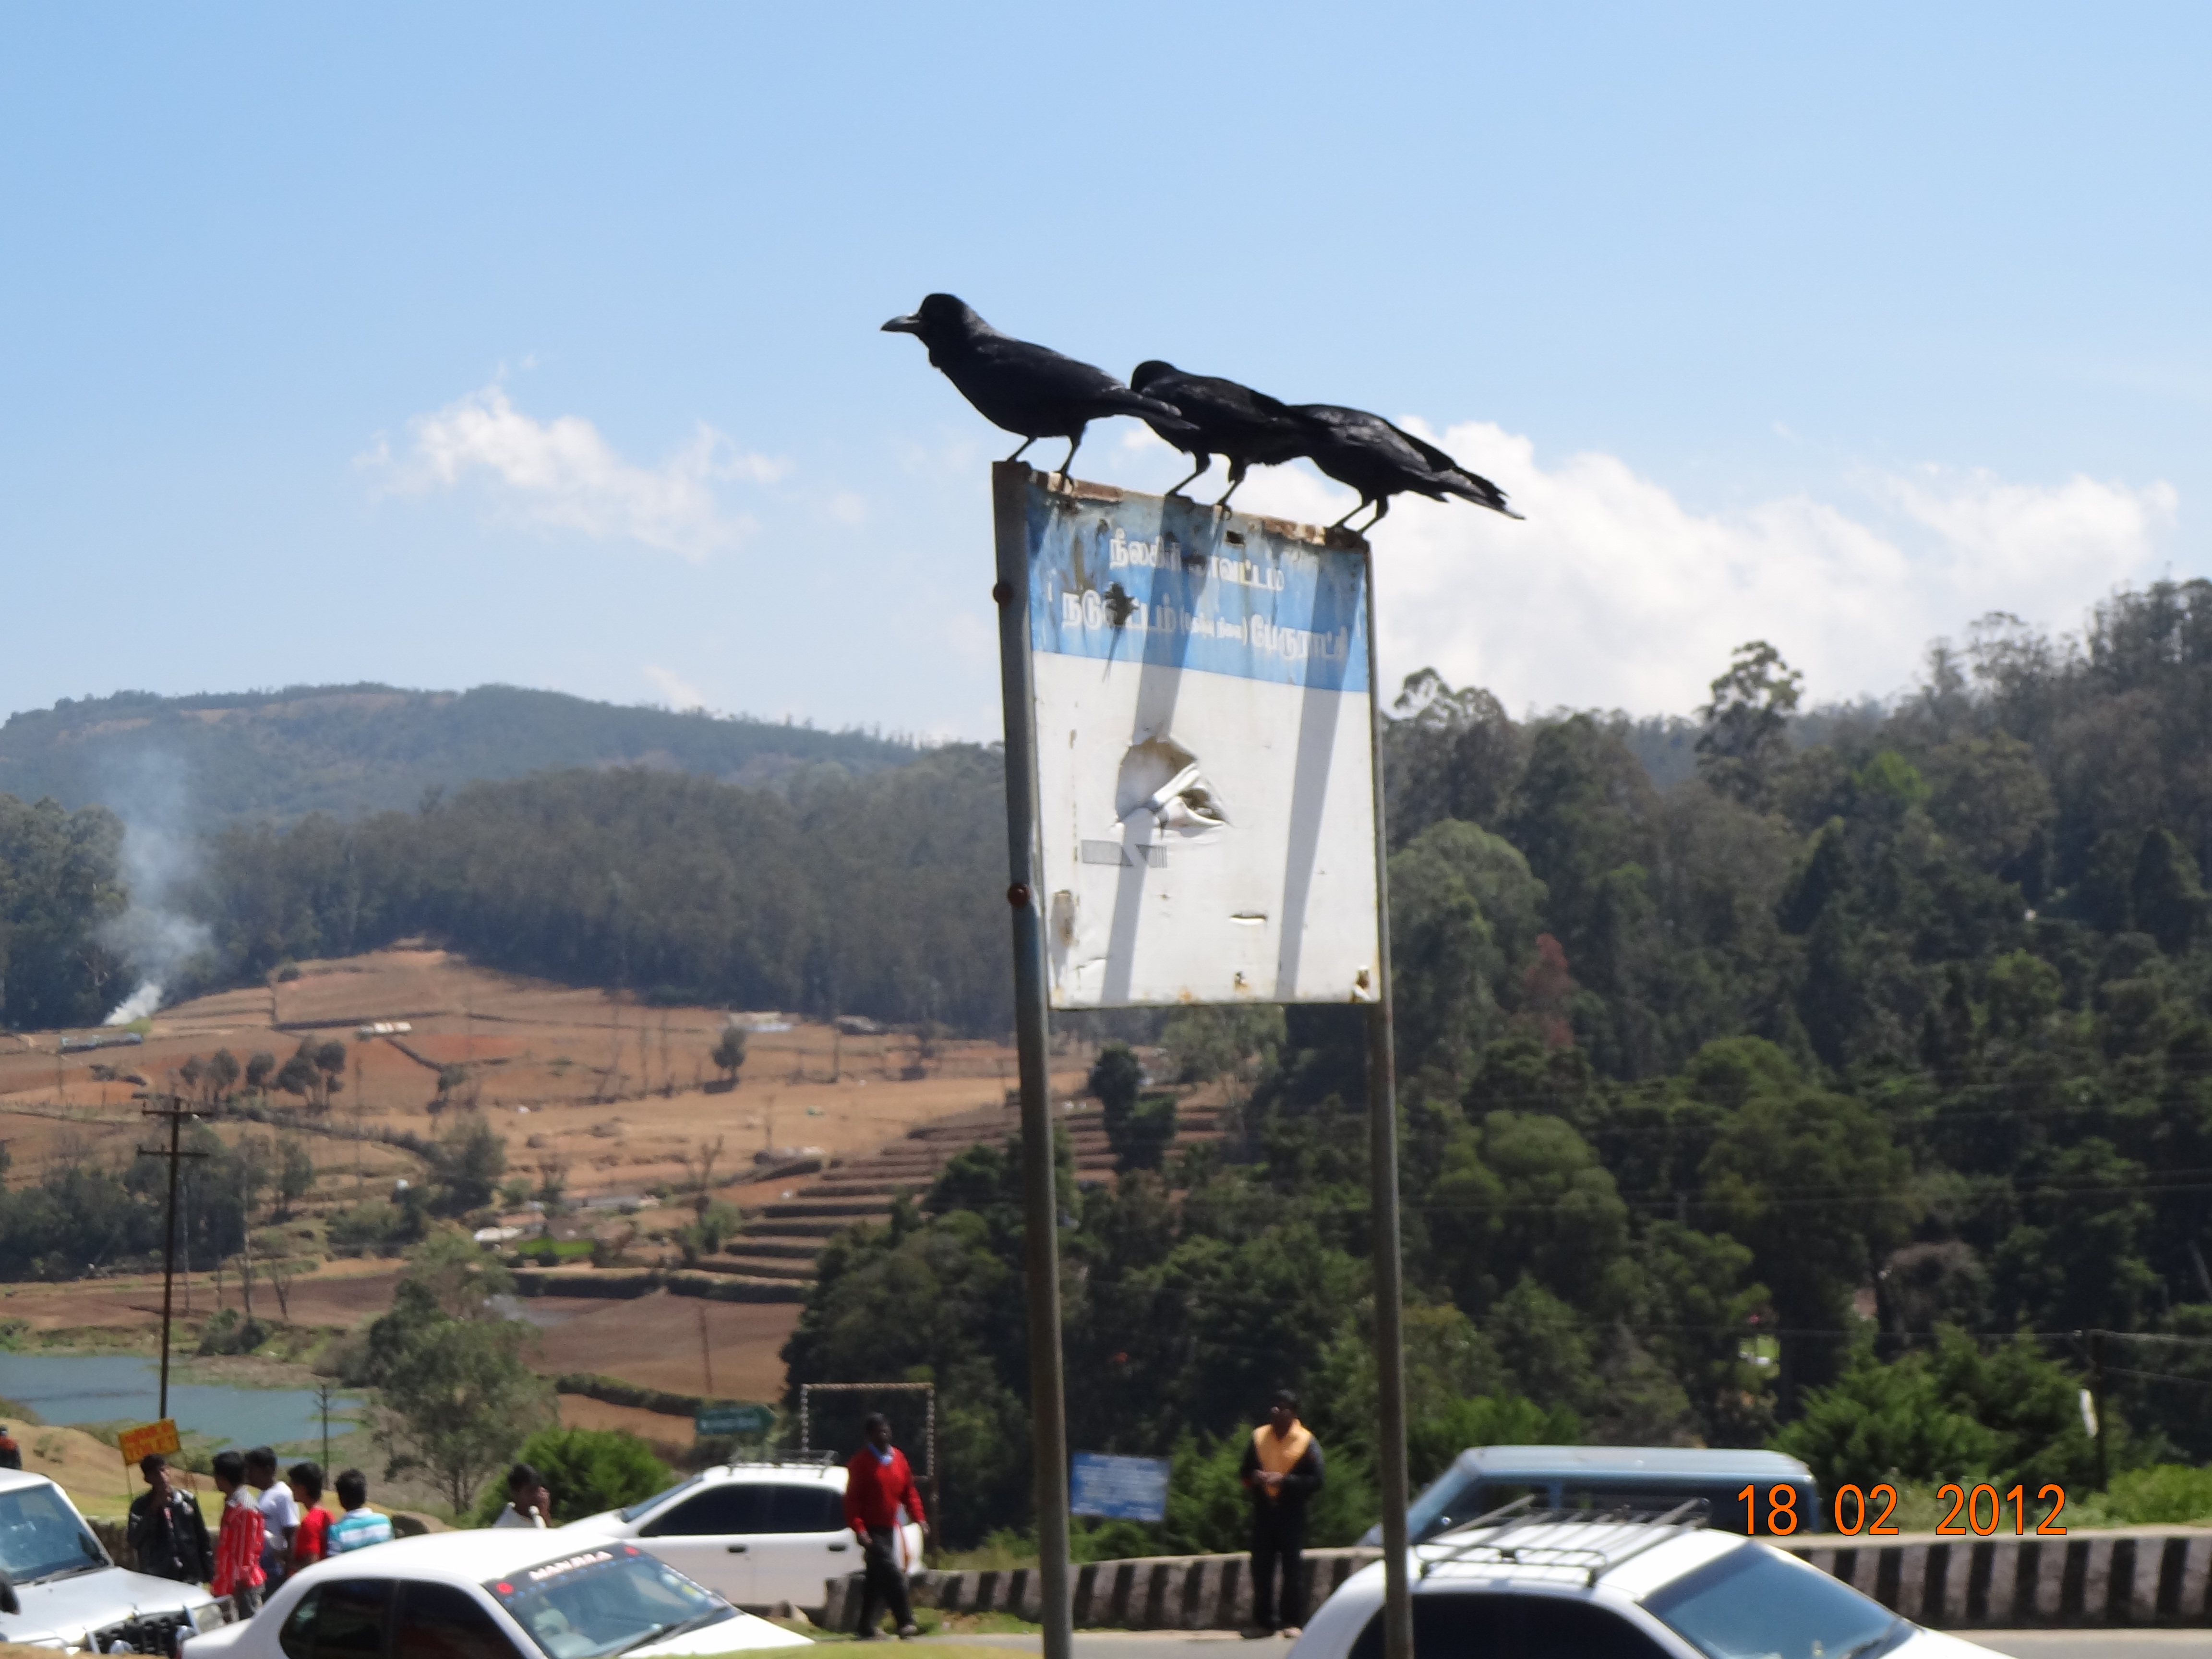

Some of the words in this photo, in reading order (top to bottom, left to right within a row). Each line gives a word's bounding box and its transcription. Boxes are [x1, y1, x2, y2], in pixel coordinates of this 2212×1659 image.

[1095, 520, 1188, 576] நீலகிாி
[1184, 552, 1287, 599] வட்டம
[1056, 588, 1184, 638] நடுவட்டம்
[1244, 608, 1355, 671] பேரூராட்சி
[1737, 1479, 1800, 1537] 18
[1828, 1479, 1904, 1537] 02
[1932, 1477, 2067, 1539] 2012